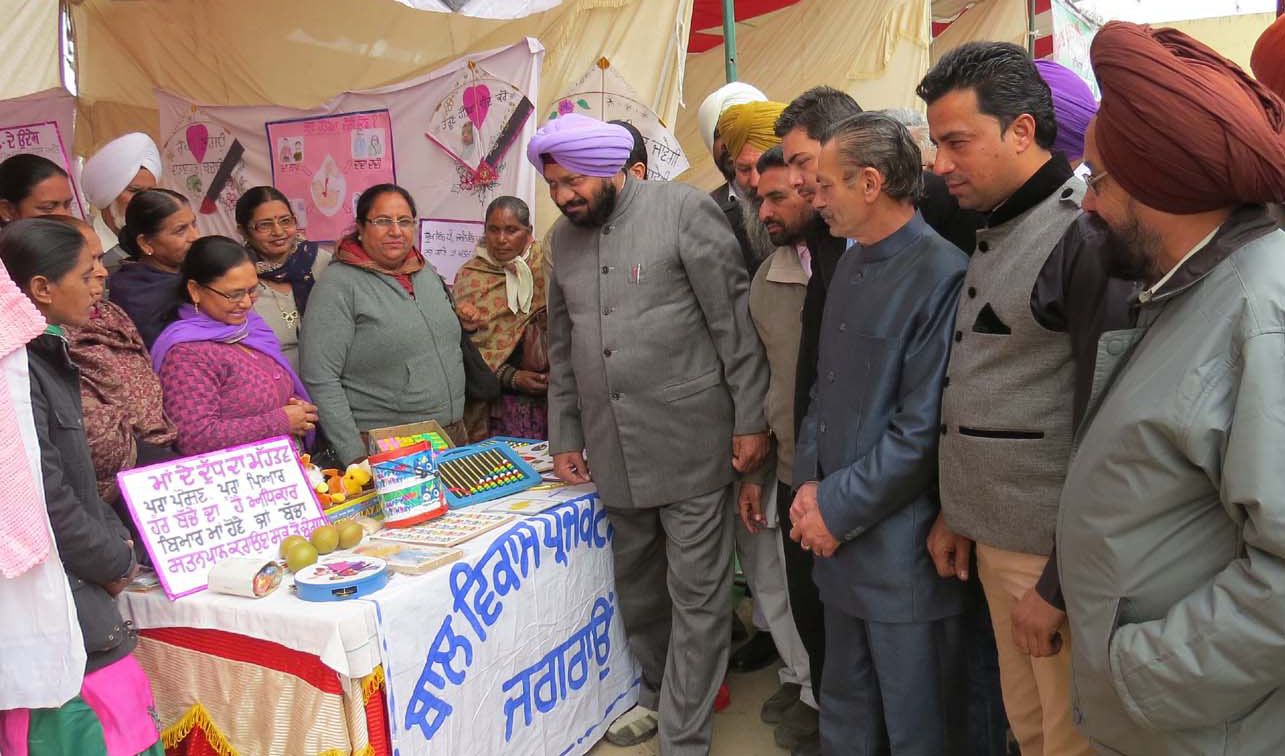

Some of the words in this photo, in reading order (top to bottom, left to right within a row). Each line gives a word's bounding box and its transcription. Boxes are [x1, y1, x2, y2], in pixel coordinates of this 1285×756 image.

[137, 493, 169, 517] ਪਰਾ
[145, 514, 173, 539] ਹਰ
[145, 464, 174, 494] ਮਾਂ
[155, 527, 207, 557] ਬਿਮਾਰ
[173, 459, 197, 488] ਦੇ
[172, 505, 203, 533] ਬੱਚੇ
[166, 485, 212, 507] ਪੋਸ਼ਣ
[193, 453, 228, 487] ਦੁੱਧ
[200, 499, 227, 527] ਦਾ
[204, 520, 227, 543] ਮਾ
[214, 474, 245, 497] ਪਰਾ
[220, 512, 249, 539] ਹੋਵੇ
[225, 492, 245, 515] ਹ
[223, 451, 248, 476] ਦਾ
[225, 527, 273, 560] ਕਰਾਉਵਾ
[250, 507, 277, 530] ਜਾਂ
[242, 465, 288, 491] ਪਿਆਰ
[244, 440, 297, 471] ਮੱਹਤਵ
[244, 479, 304, 512] ਅਧਿਕਾਰ
[277, 498, 311, 523] ਬੱਭਾ
[523, 483, 617, 569] ਪ੍ਰਜਕ
[161, 541, 231, 580] ਸਤਨਪਾਨ
[436, 517, 545, 648] ਵਿਕਾਸ
[391, 603, 483, 755] ਬਾਲ
[480, 585, 625, 752] ਜਗਰਾਉਂ